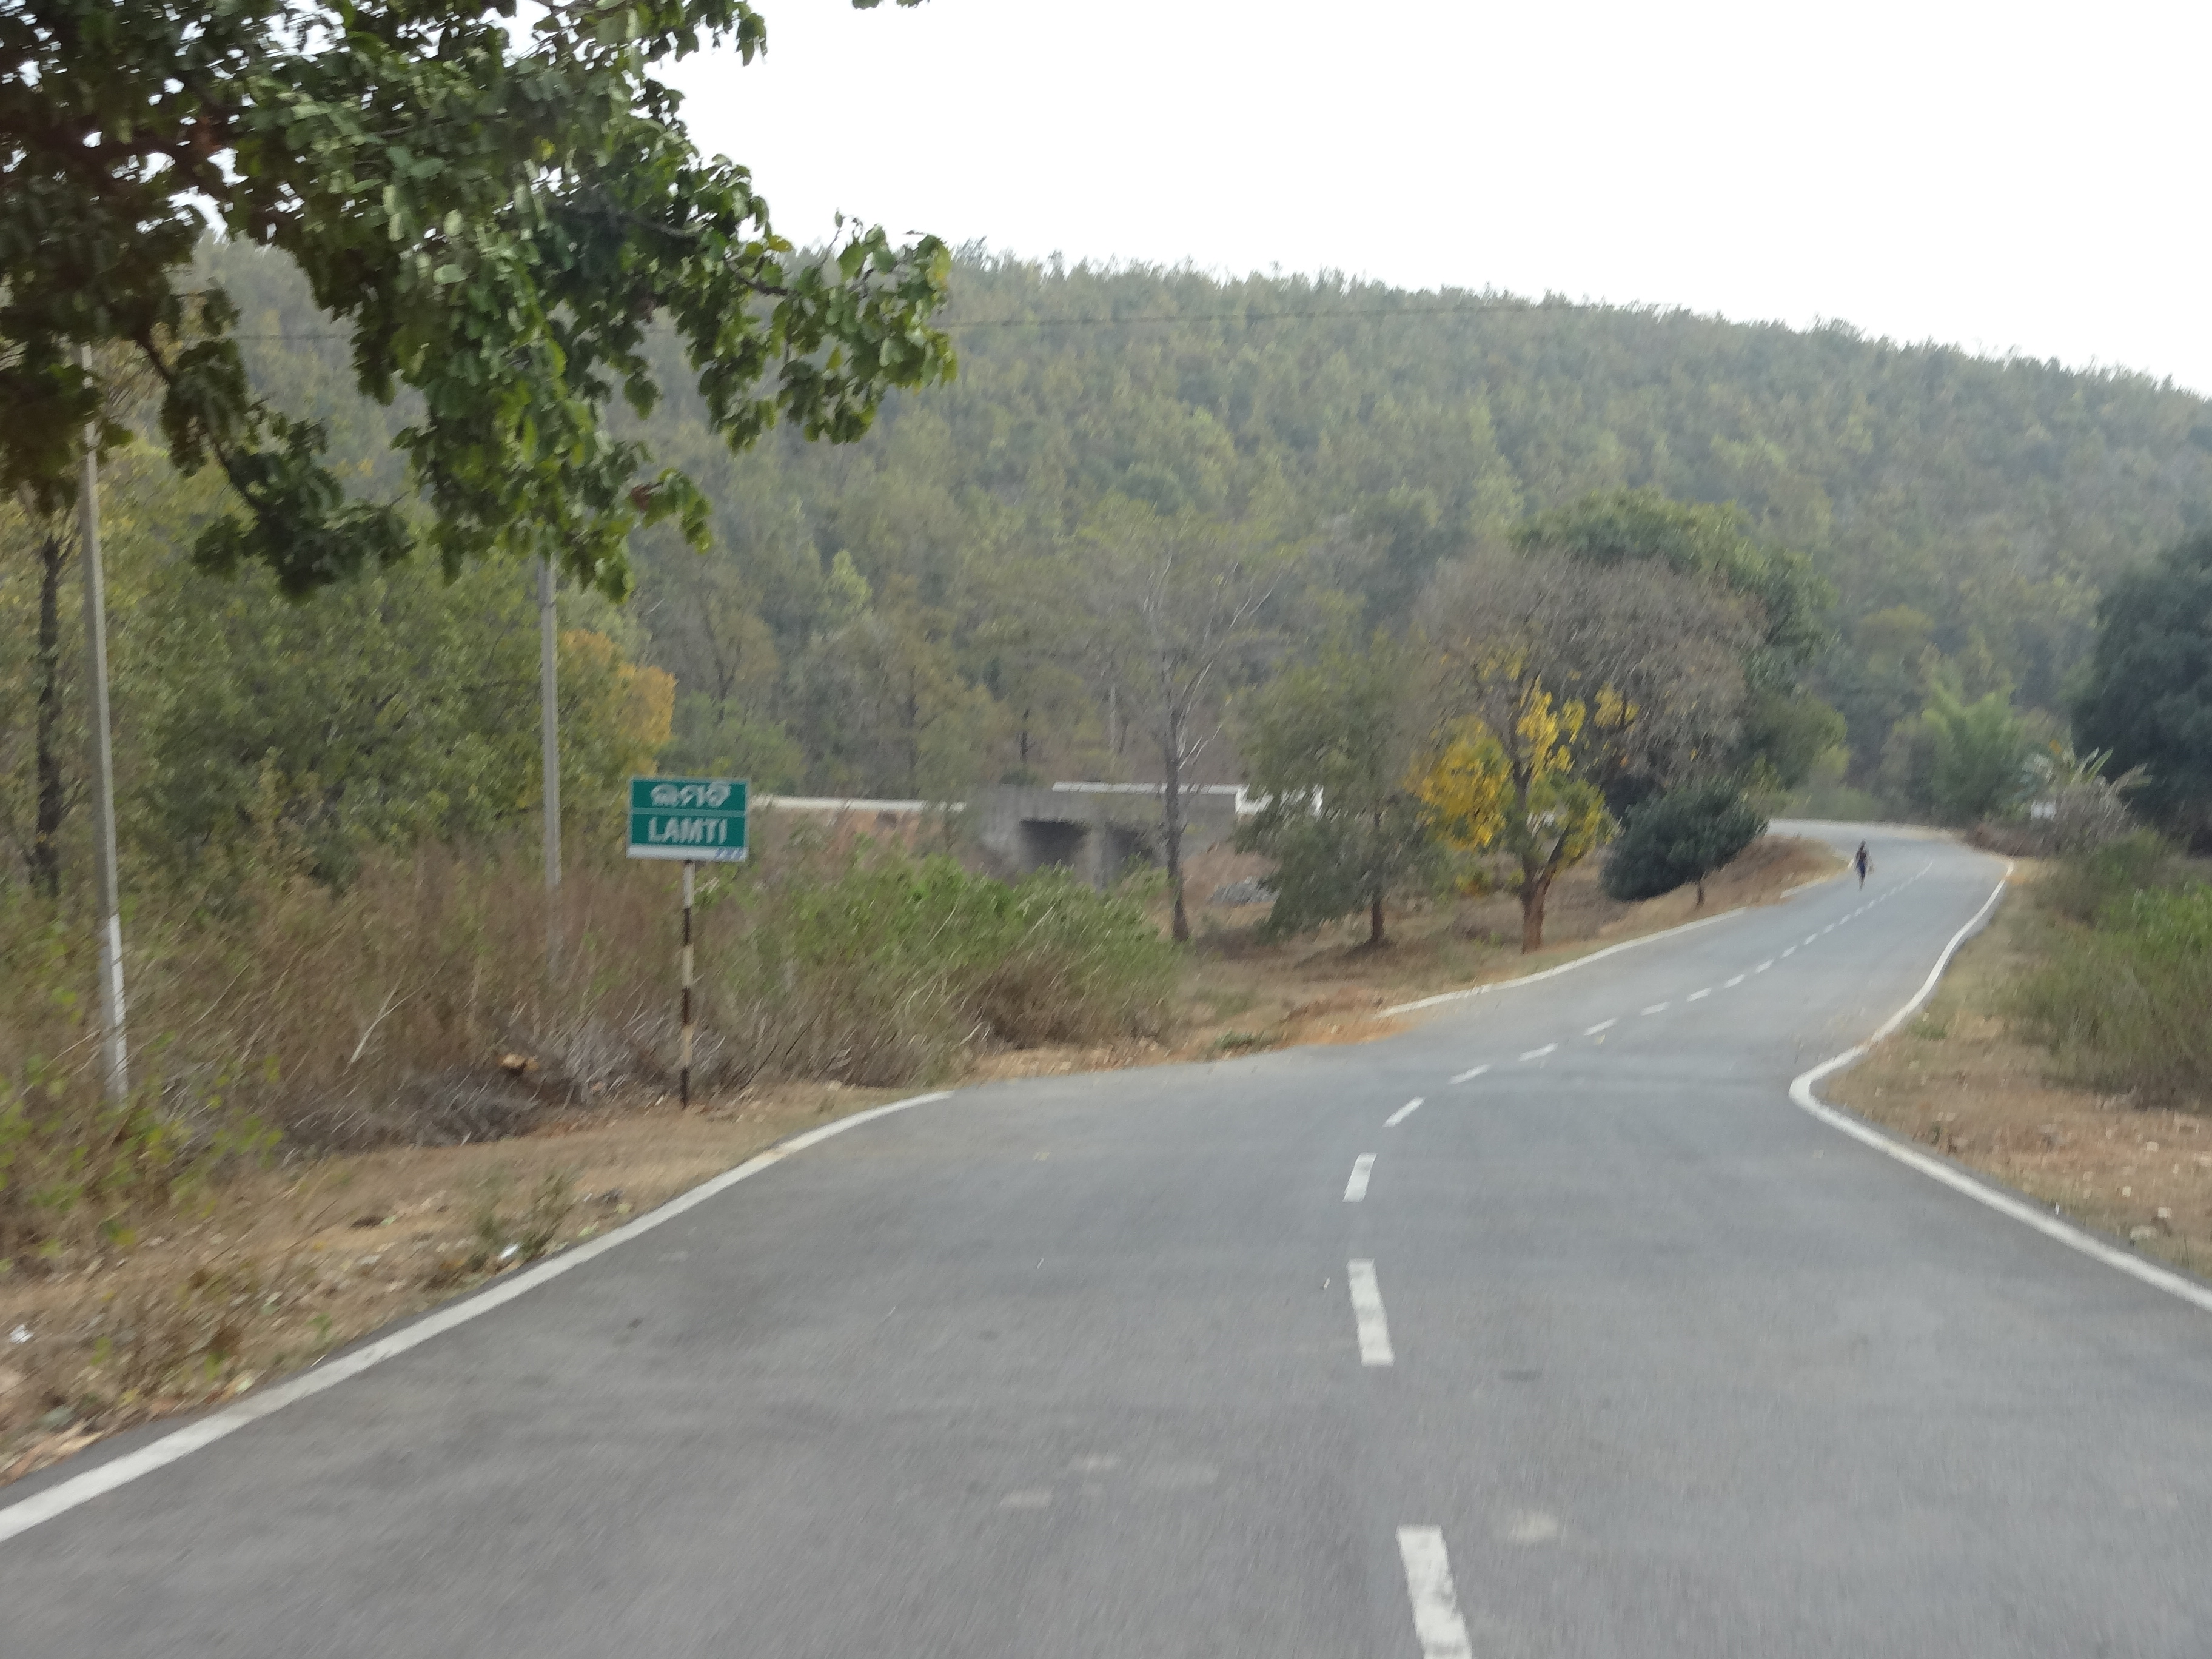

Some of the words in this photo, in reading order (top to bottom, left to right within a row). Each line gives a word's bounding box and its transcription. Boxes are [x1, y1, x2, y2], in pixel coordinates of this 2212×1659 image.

[644, 777, 736, 811] ଲାମତି
[642, 811, 734, 850] LAMTI